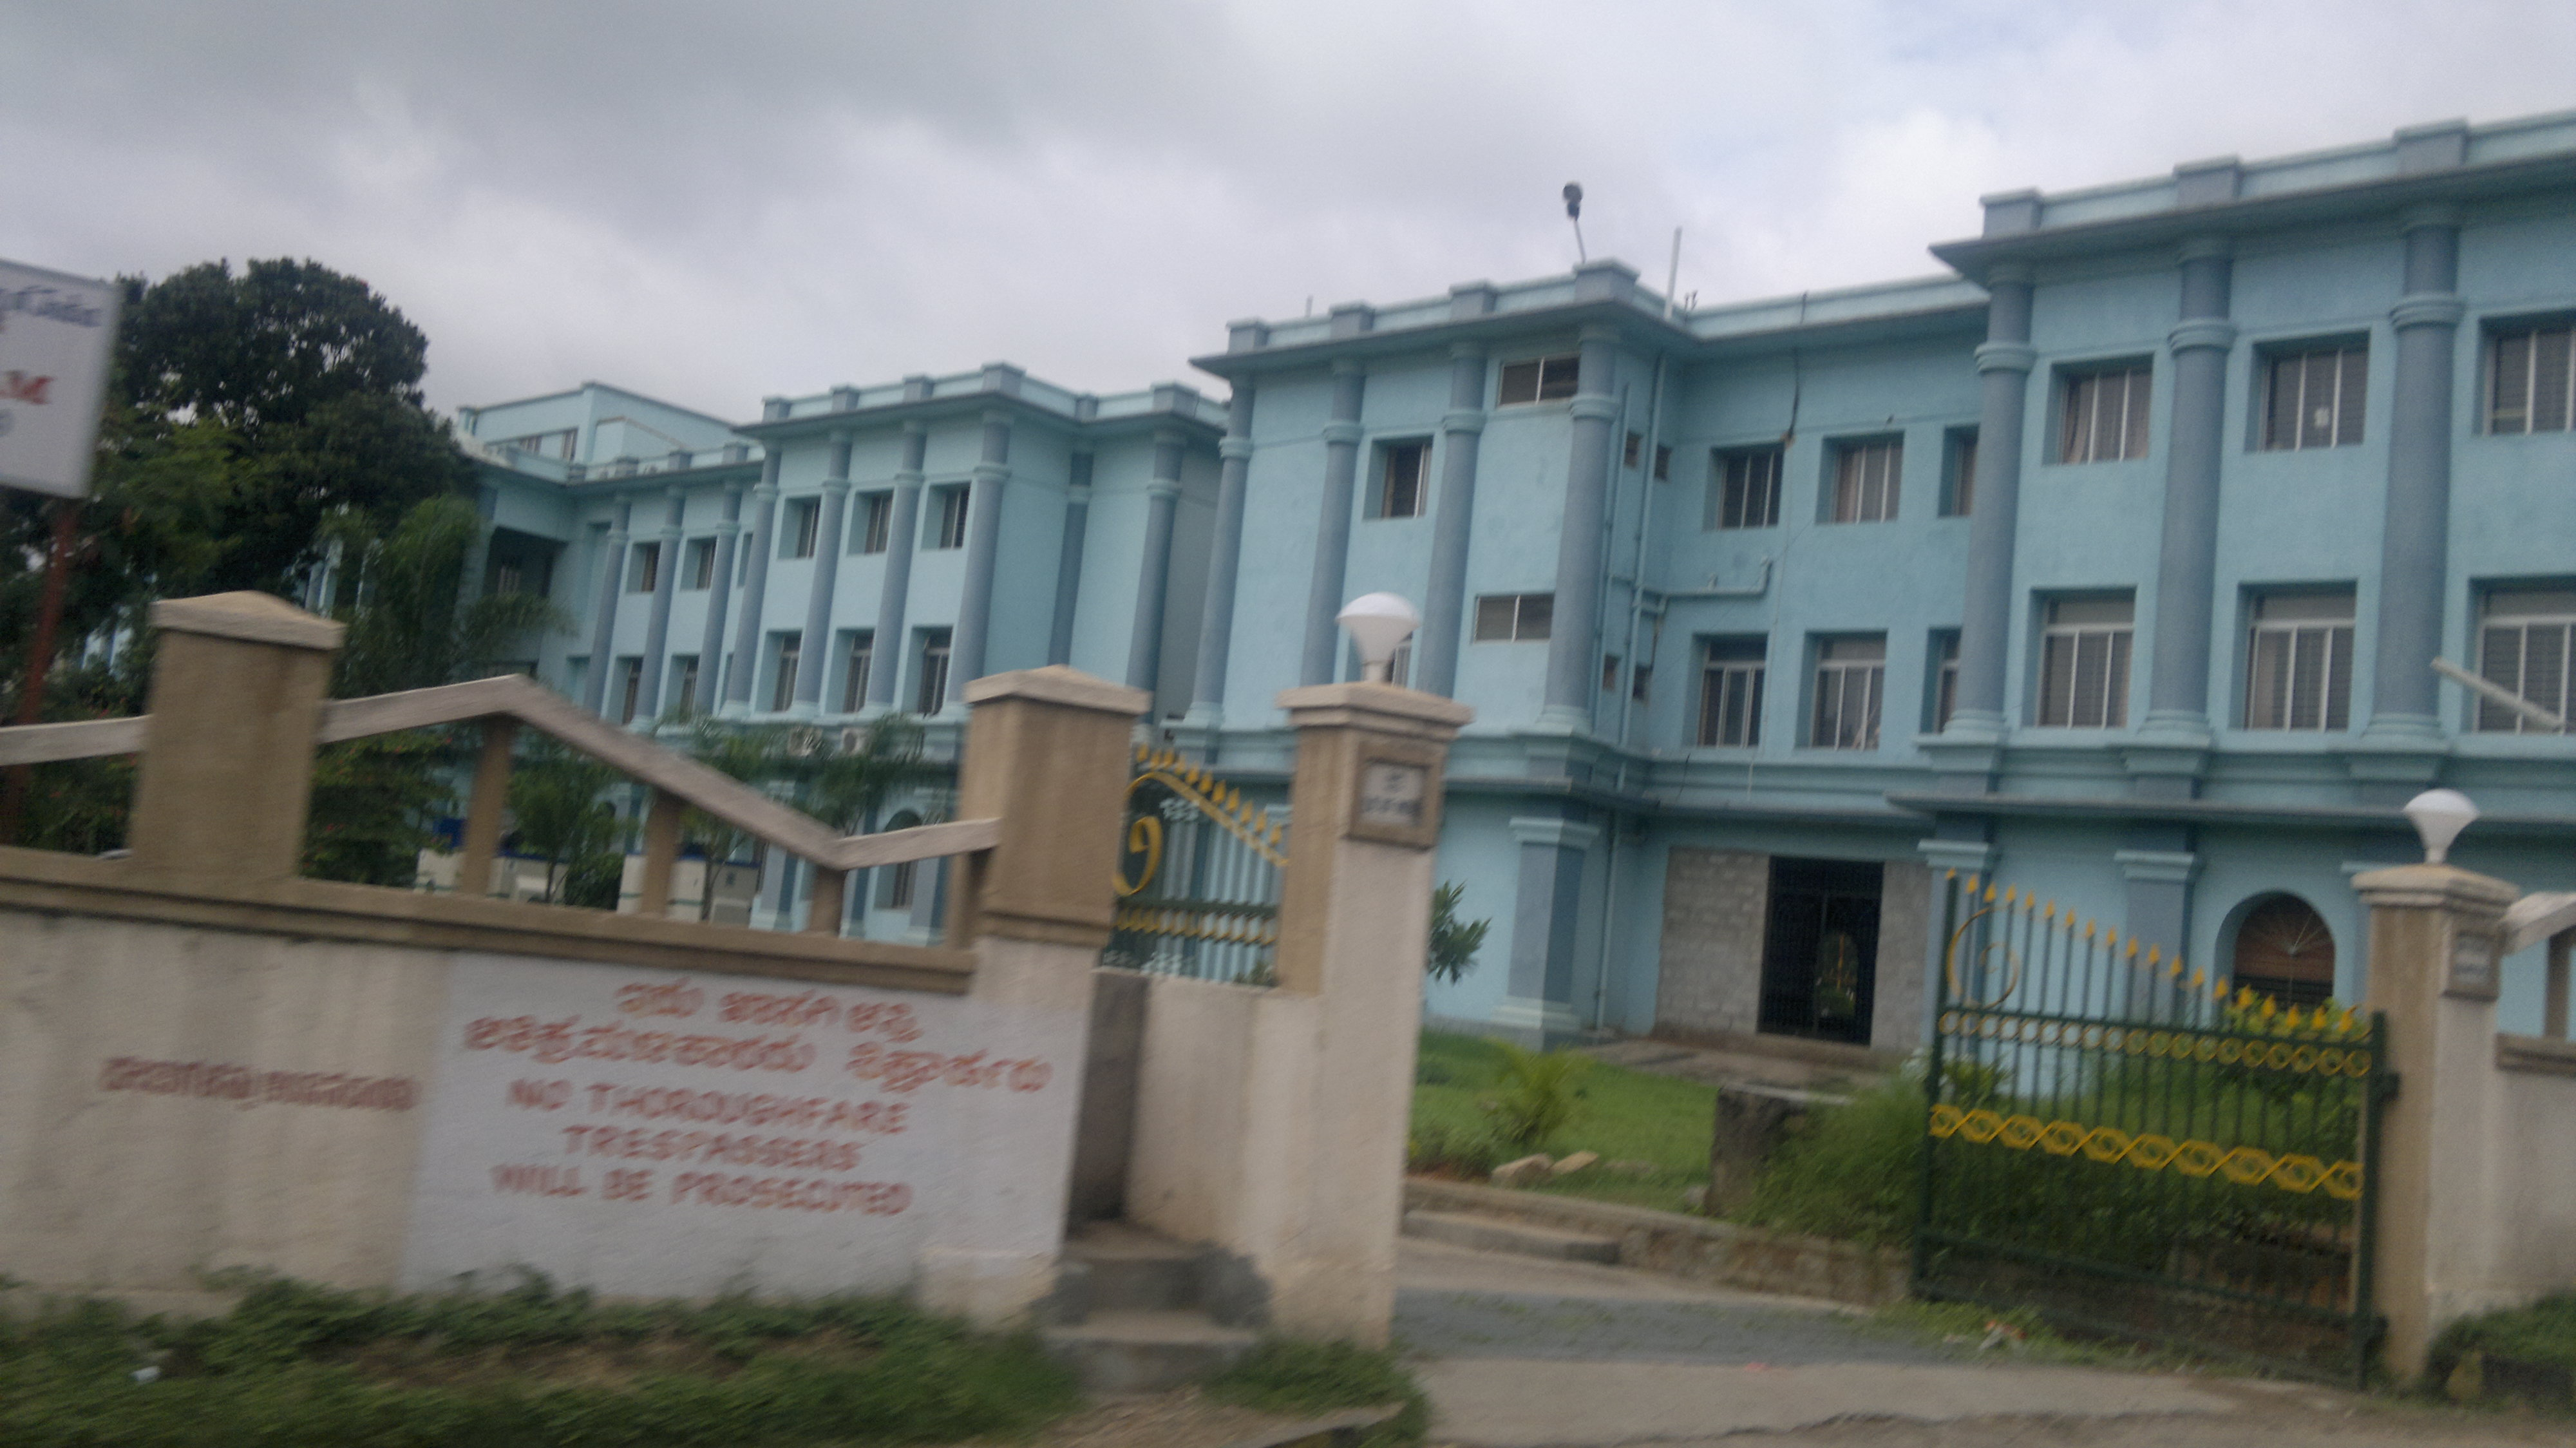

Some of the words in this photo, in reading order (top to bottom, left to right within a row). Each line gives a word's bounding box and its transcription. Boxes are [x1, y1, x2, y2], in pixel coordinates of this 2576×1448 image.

[582, 1075, 913, 1139] THOROUGHFARE
[559, 1116, 870, 1176] TRESPASSERS
[483, 1159, 589, 1201] WILL
[600, 1164, 662, 1206] BE
[659, 1167, 920, 1223] PROSECUTED